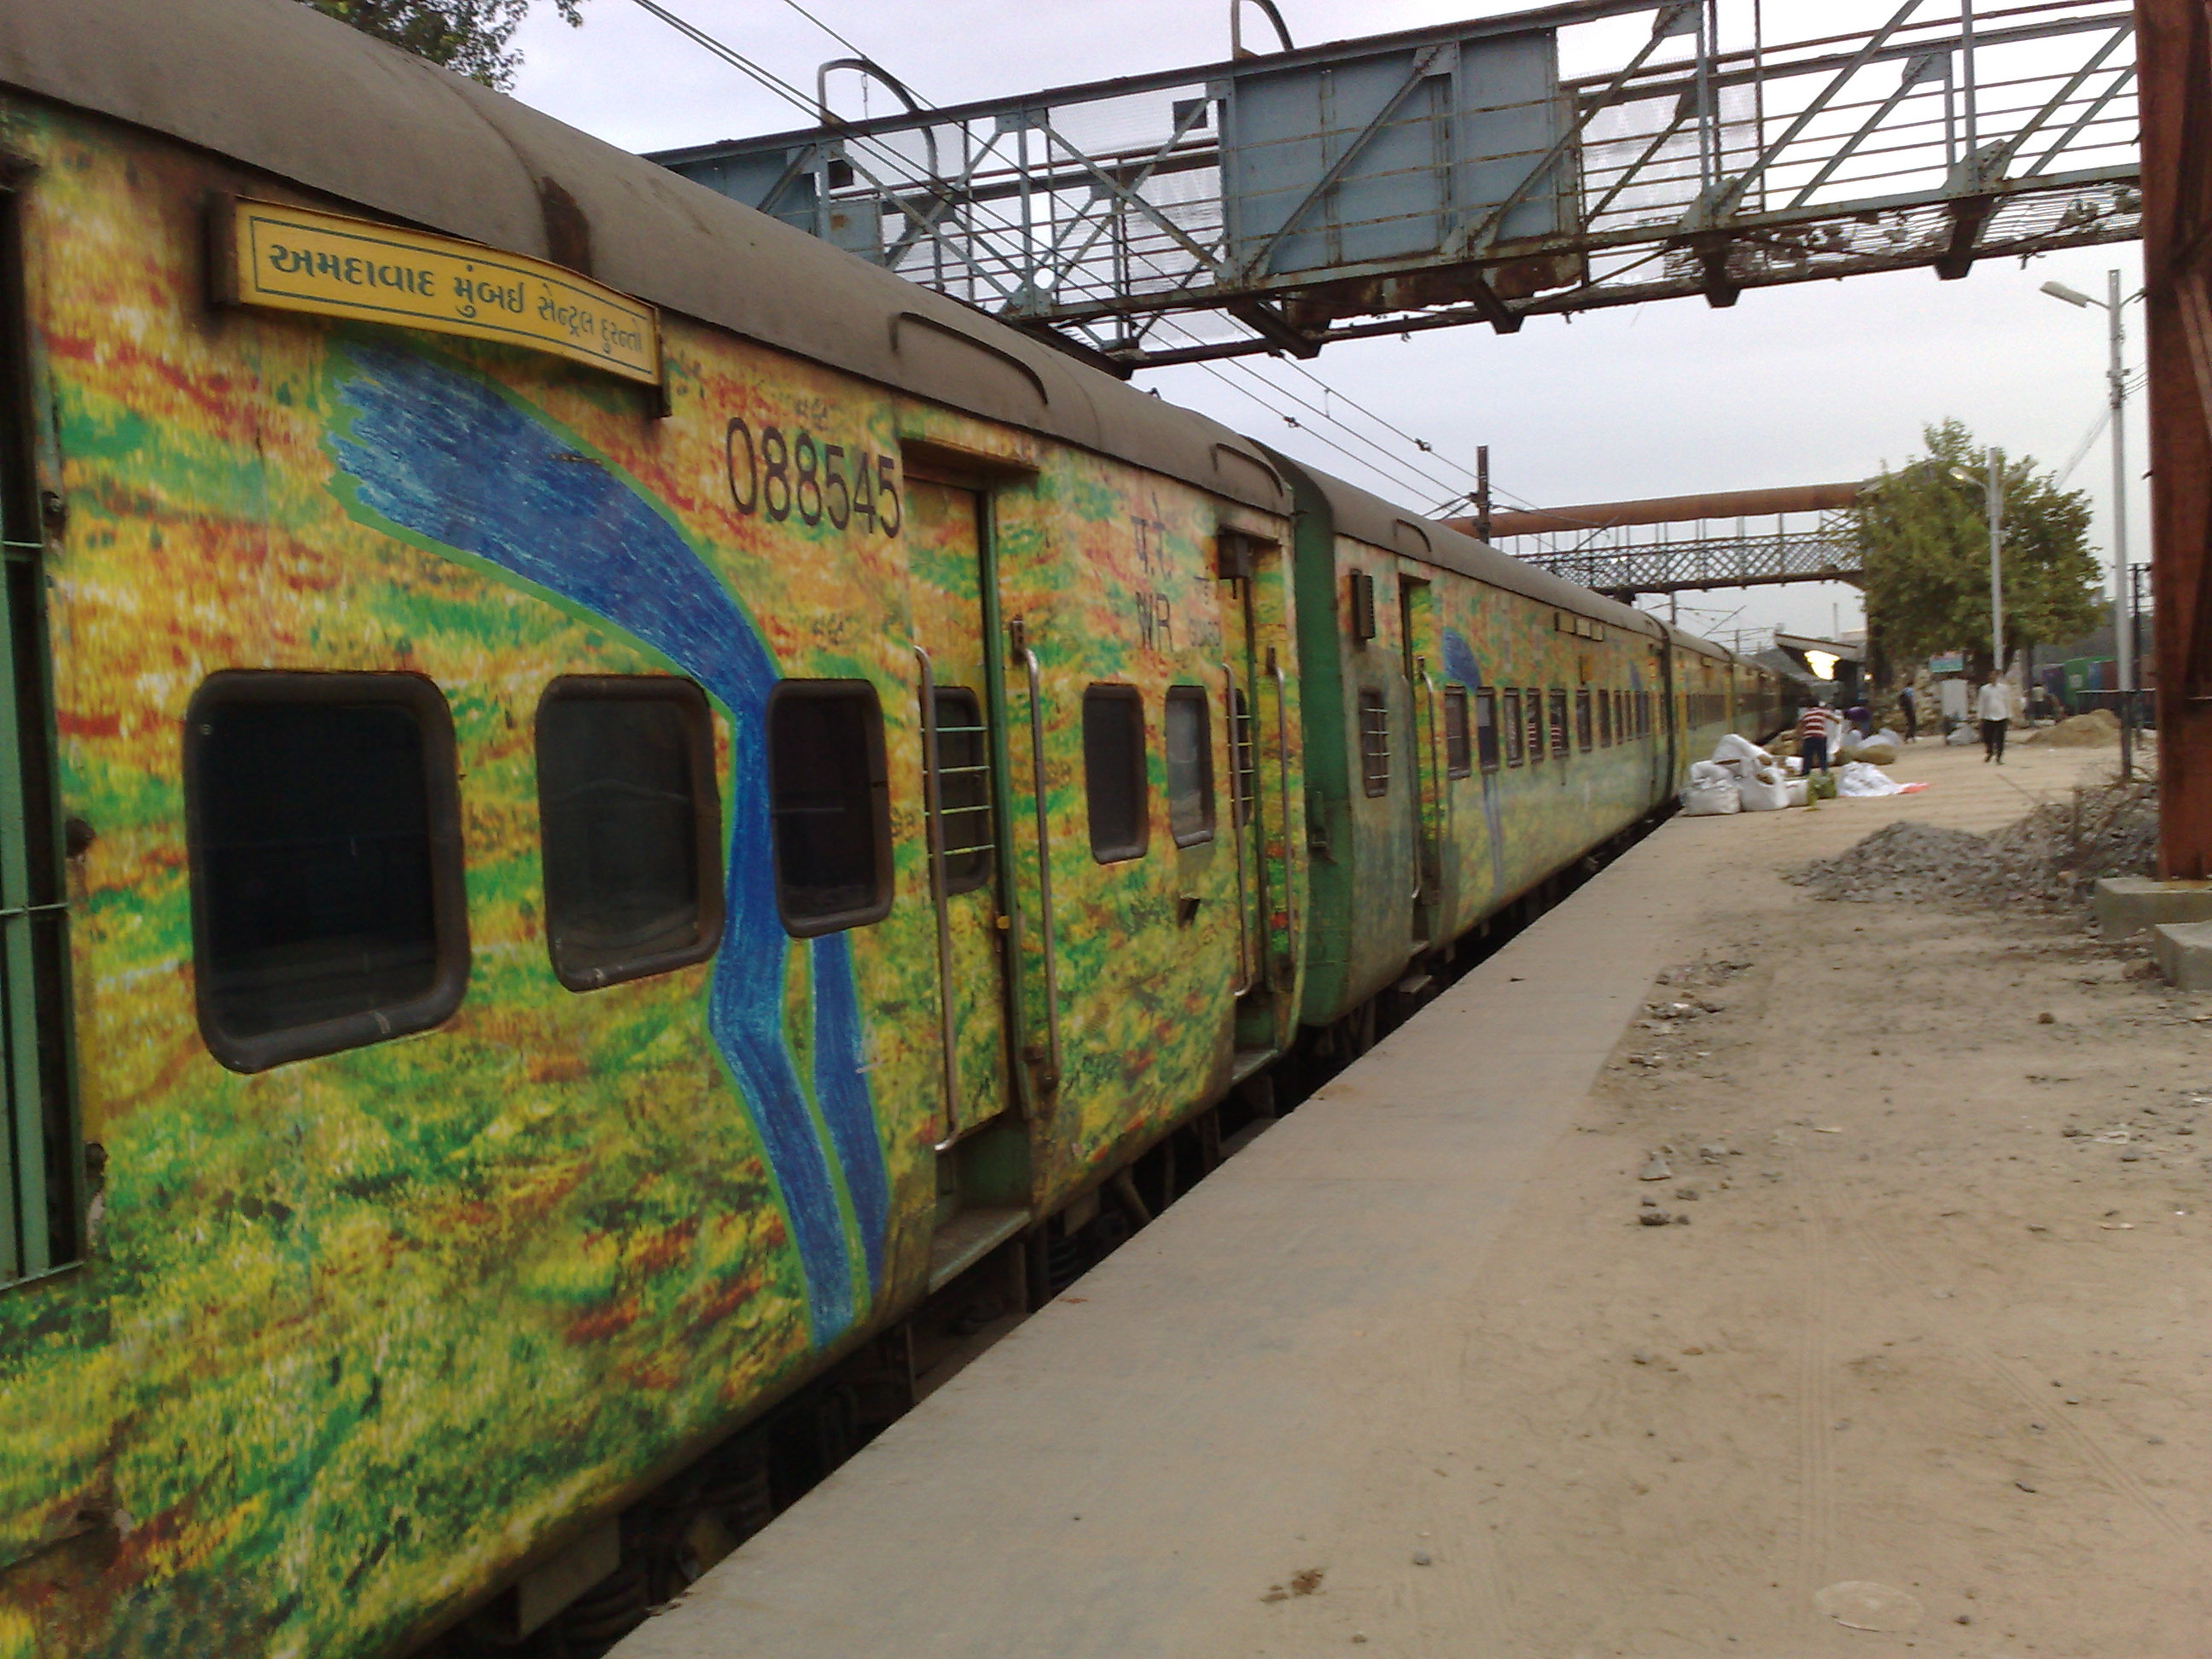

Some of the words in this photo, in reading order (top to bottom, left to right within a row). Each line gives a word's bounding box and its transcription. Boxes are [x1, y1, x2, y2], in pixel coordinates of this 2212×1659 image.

[264, 242, 440, 299] અમદાવાદ
[446, 262, 530, 318] મુંબઈ
[533, 281, 598, 341] સેન્ટ્રલ
[593, 316, 649, 356] દુરસ્તો
[719, 417, 904, 547] 088545
[1124, 489, 1176, 583] प.रे.
[1128, 586, 1183, 662] WR